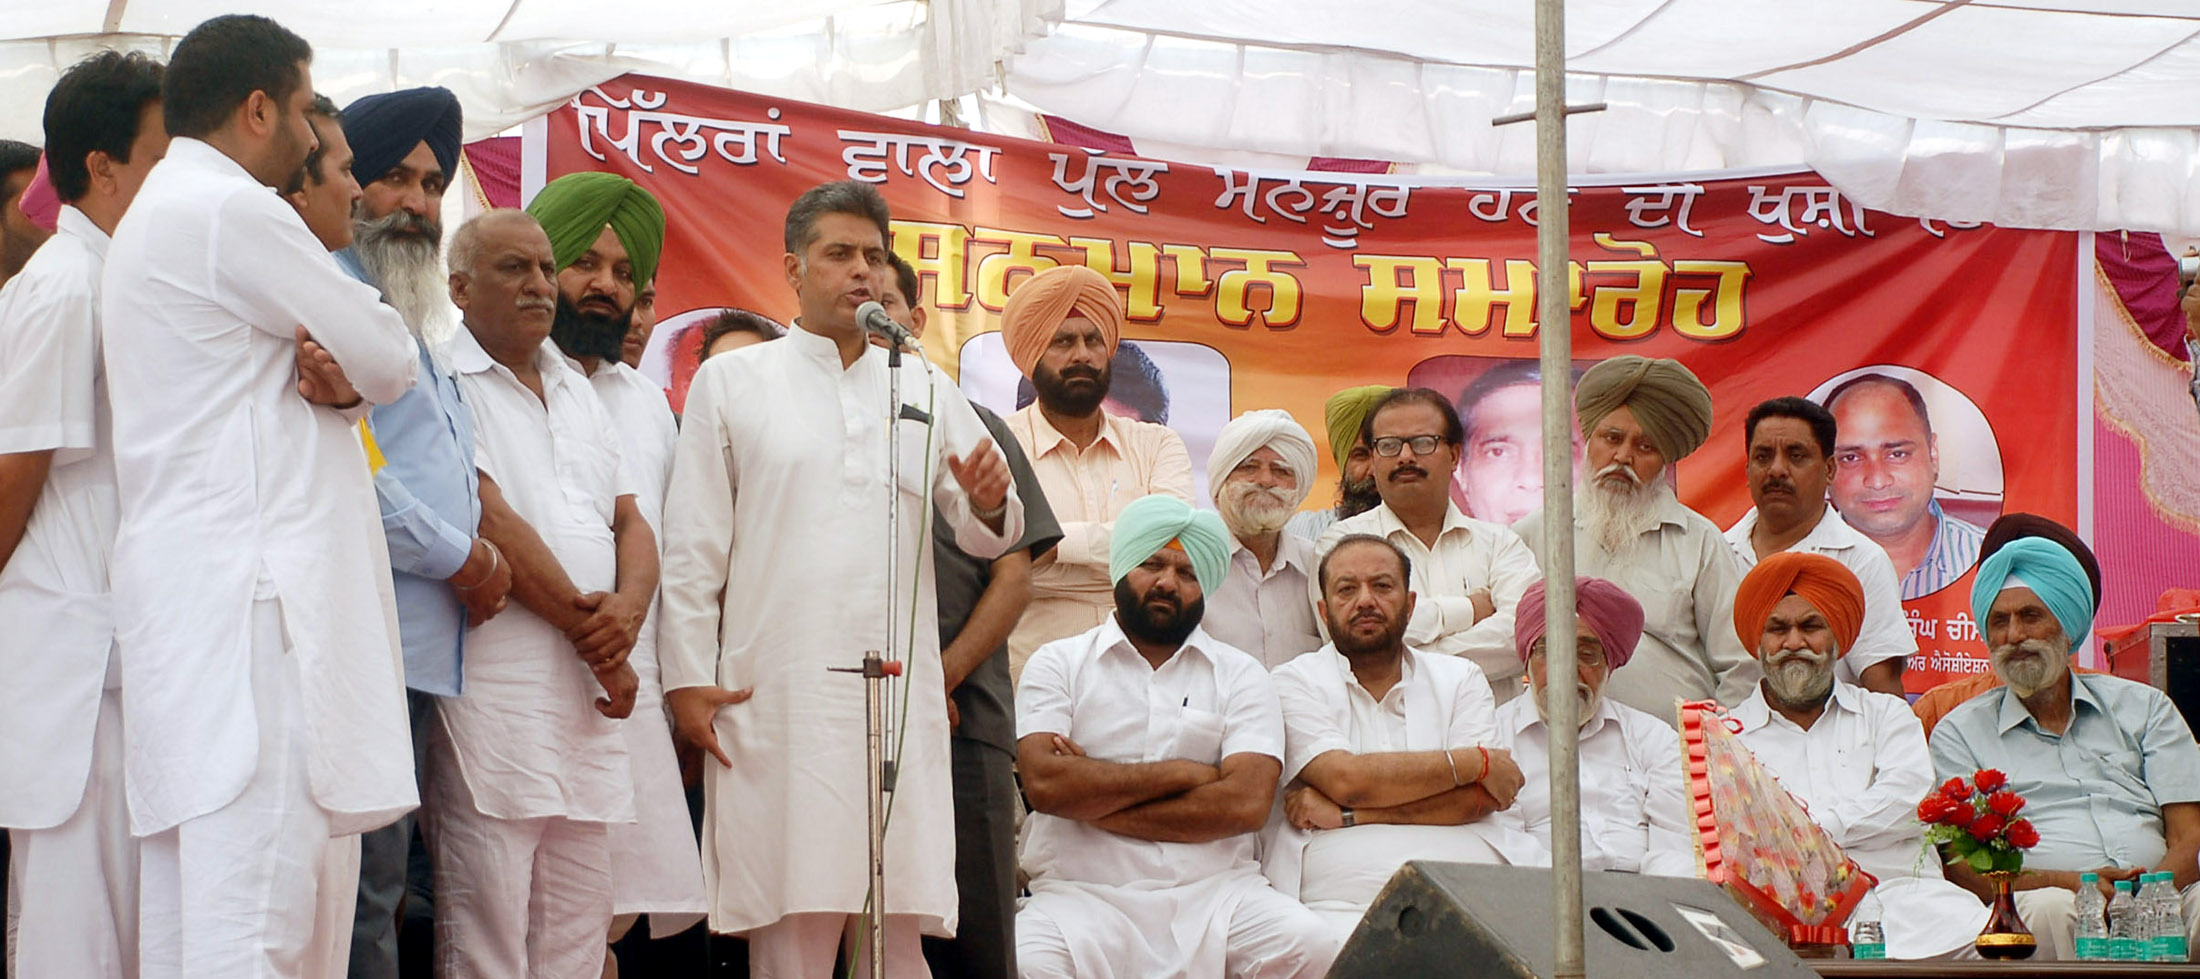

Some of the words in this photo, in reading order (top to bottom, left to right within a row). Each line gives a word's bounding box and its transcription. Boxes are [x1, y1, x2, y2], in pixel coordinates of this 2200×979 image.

[562, 76, 801, 185] ਪਿੱਲਰਾ
[832, 123, 1010, 209] ਵਾਲਾ
[1041, 143, 1181, 229] ਪੁਲ
[1207, 167, 1431, 253] ਮਨਜ਼ੂਰ
[1459, 187, 1519, 231] ਹ
[1613, 181, 1713, 243] ਦਾ
[1739, 171, 1882, 251] ਖੁਸ਼
[1210, 240, 1320, 341] ਨ
[1339, 249, 1543, 345] ਸਮ
[1585, 224, 1771, 352] ਰੋਹ
[1905, 651, 1931, 673] ਅਰ
[1917, 608, 1941, 643] ਘ
[1944, 607, 1973, 645] ਚੀ
[1929, 645, 1992, 675] ਐਸੋਸ਼ੀਏਸ਼ਨ